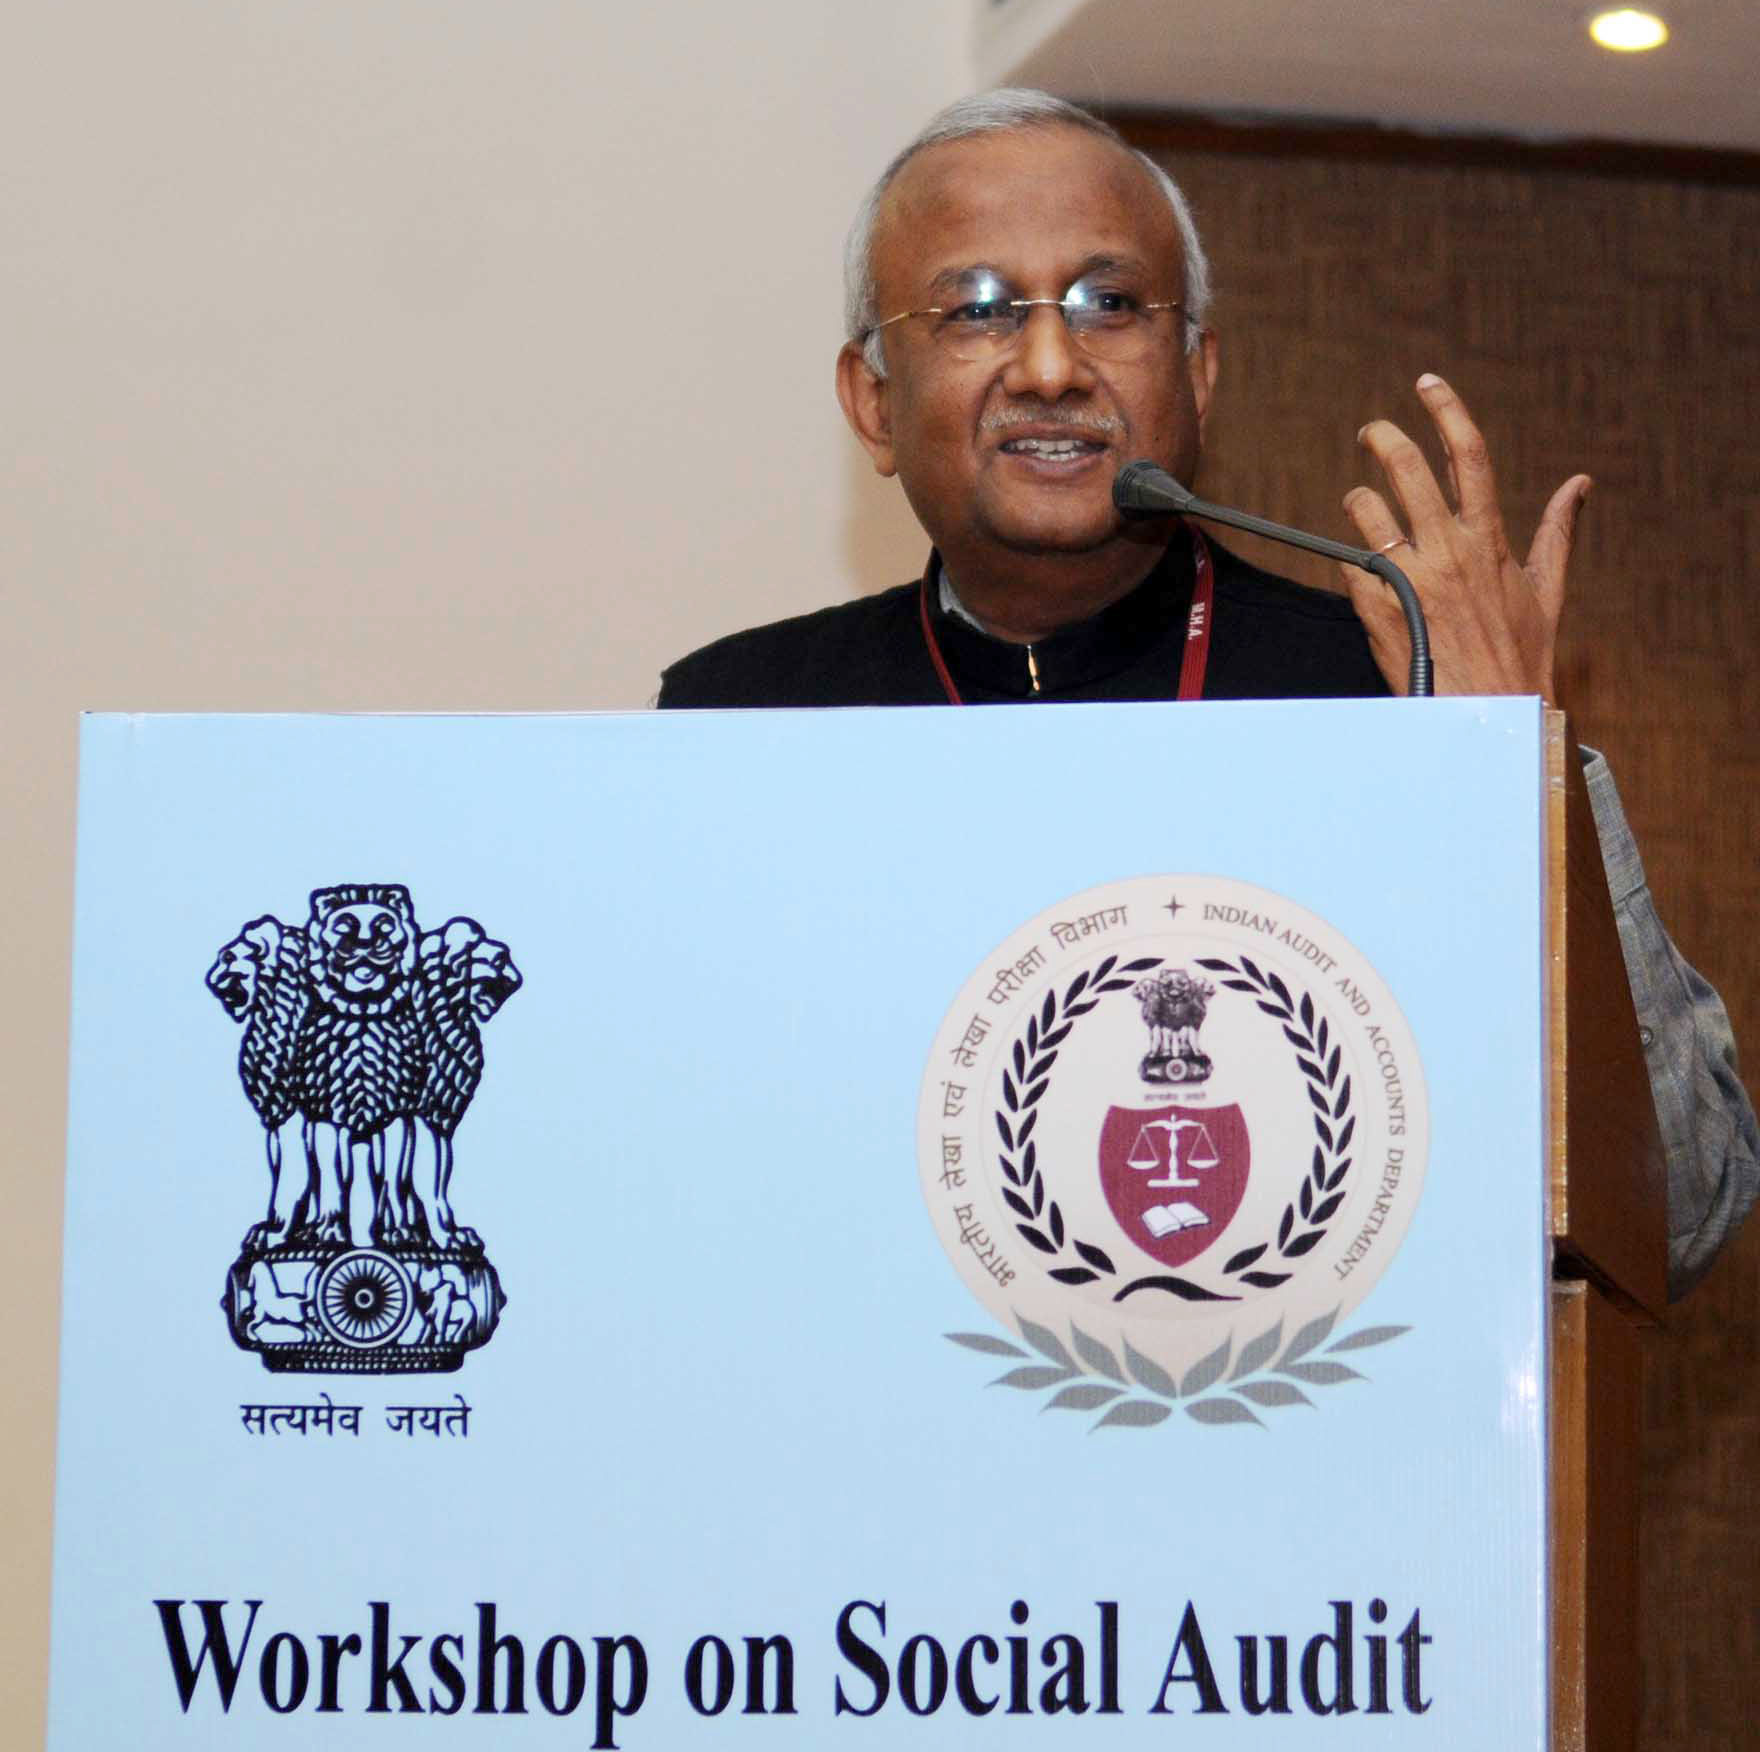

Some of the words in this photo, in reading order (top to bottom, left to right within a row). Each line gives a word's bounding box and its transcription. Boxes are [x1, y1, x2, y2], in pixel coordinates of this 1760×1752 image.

[977, 939, 1055, 1013] परीक्षा
[1038, 897, 1135, 953] विभाग
[1199, 893, 1284, 943] INDIAN
[1266, 917, 1342, 987] अच्छात
[1336, 976, 1375, 1021] AND
[943, 1004, 1000, 1081] लेखा
[939, 1069, 970, 1125] एवं
[1357, 1018, 1411, 1143] ACCOUNTS
[935, 1128, 969, 1195] लेखा
[953, 1202, 1018, 1288] भारतीय
[1324, 1142, 1409, 1290] DEPARTMENT
[231, 1393, 367, 1440] सत्यमेव
[378, 1395, 479, 1445] जयते
[148, 1589, 661, 1751] Workshop
[667, 1616, 802, 1733] on
[820, 1583, 1130, 1726] Social
[1146, 1583, 1439, 1728] Audit